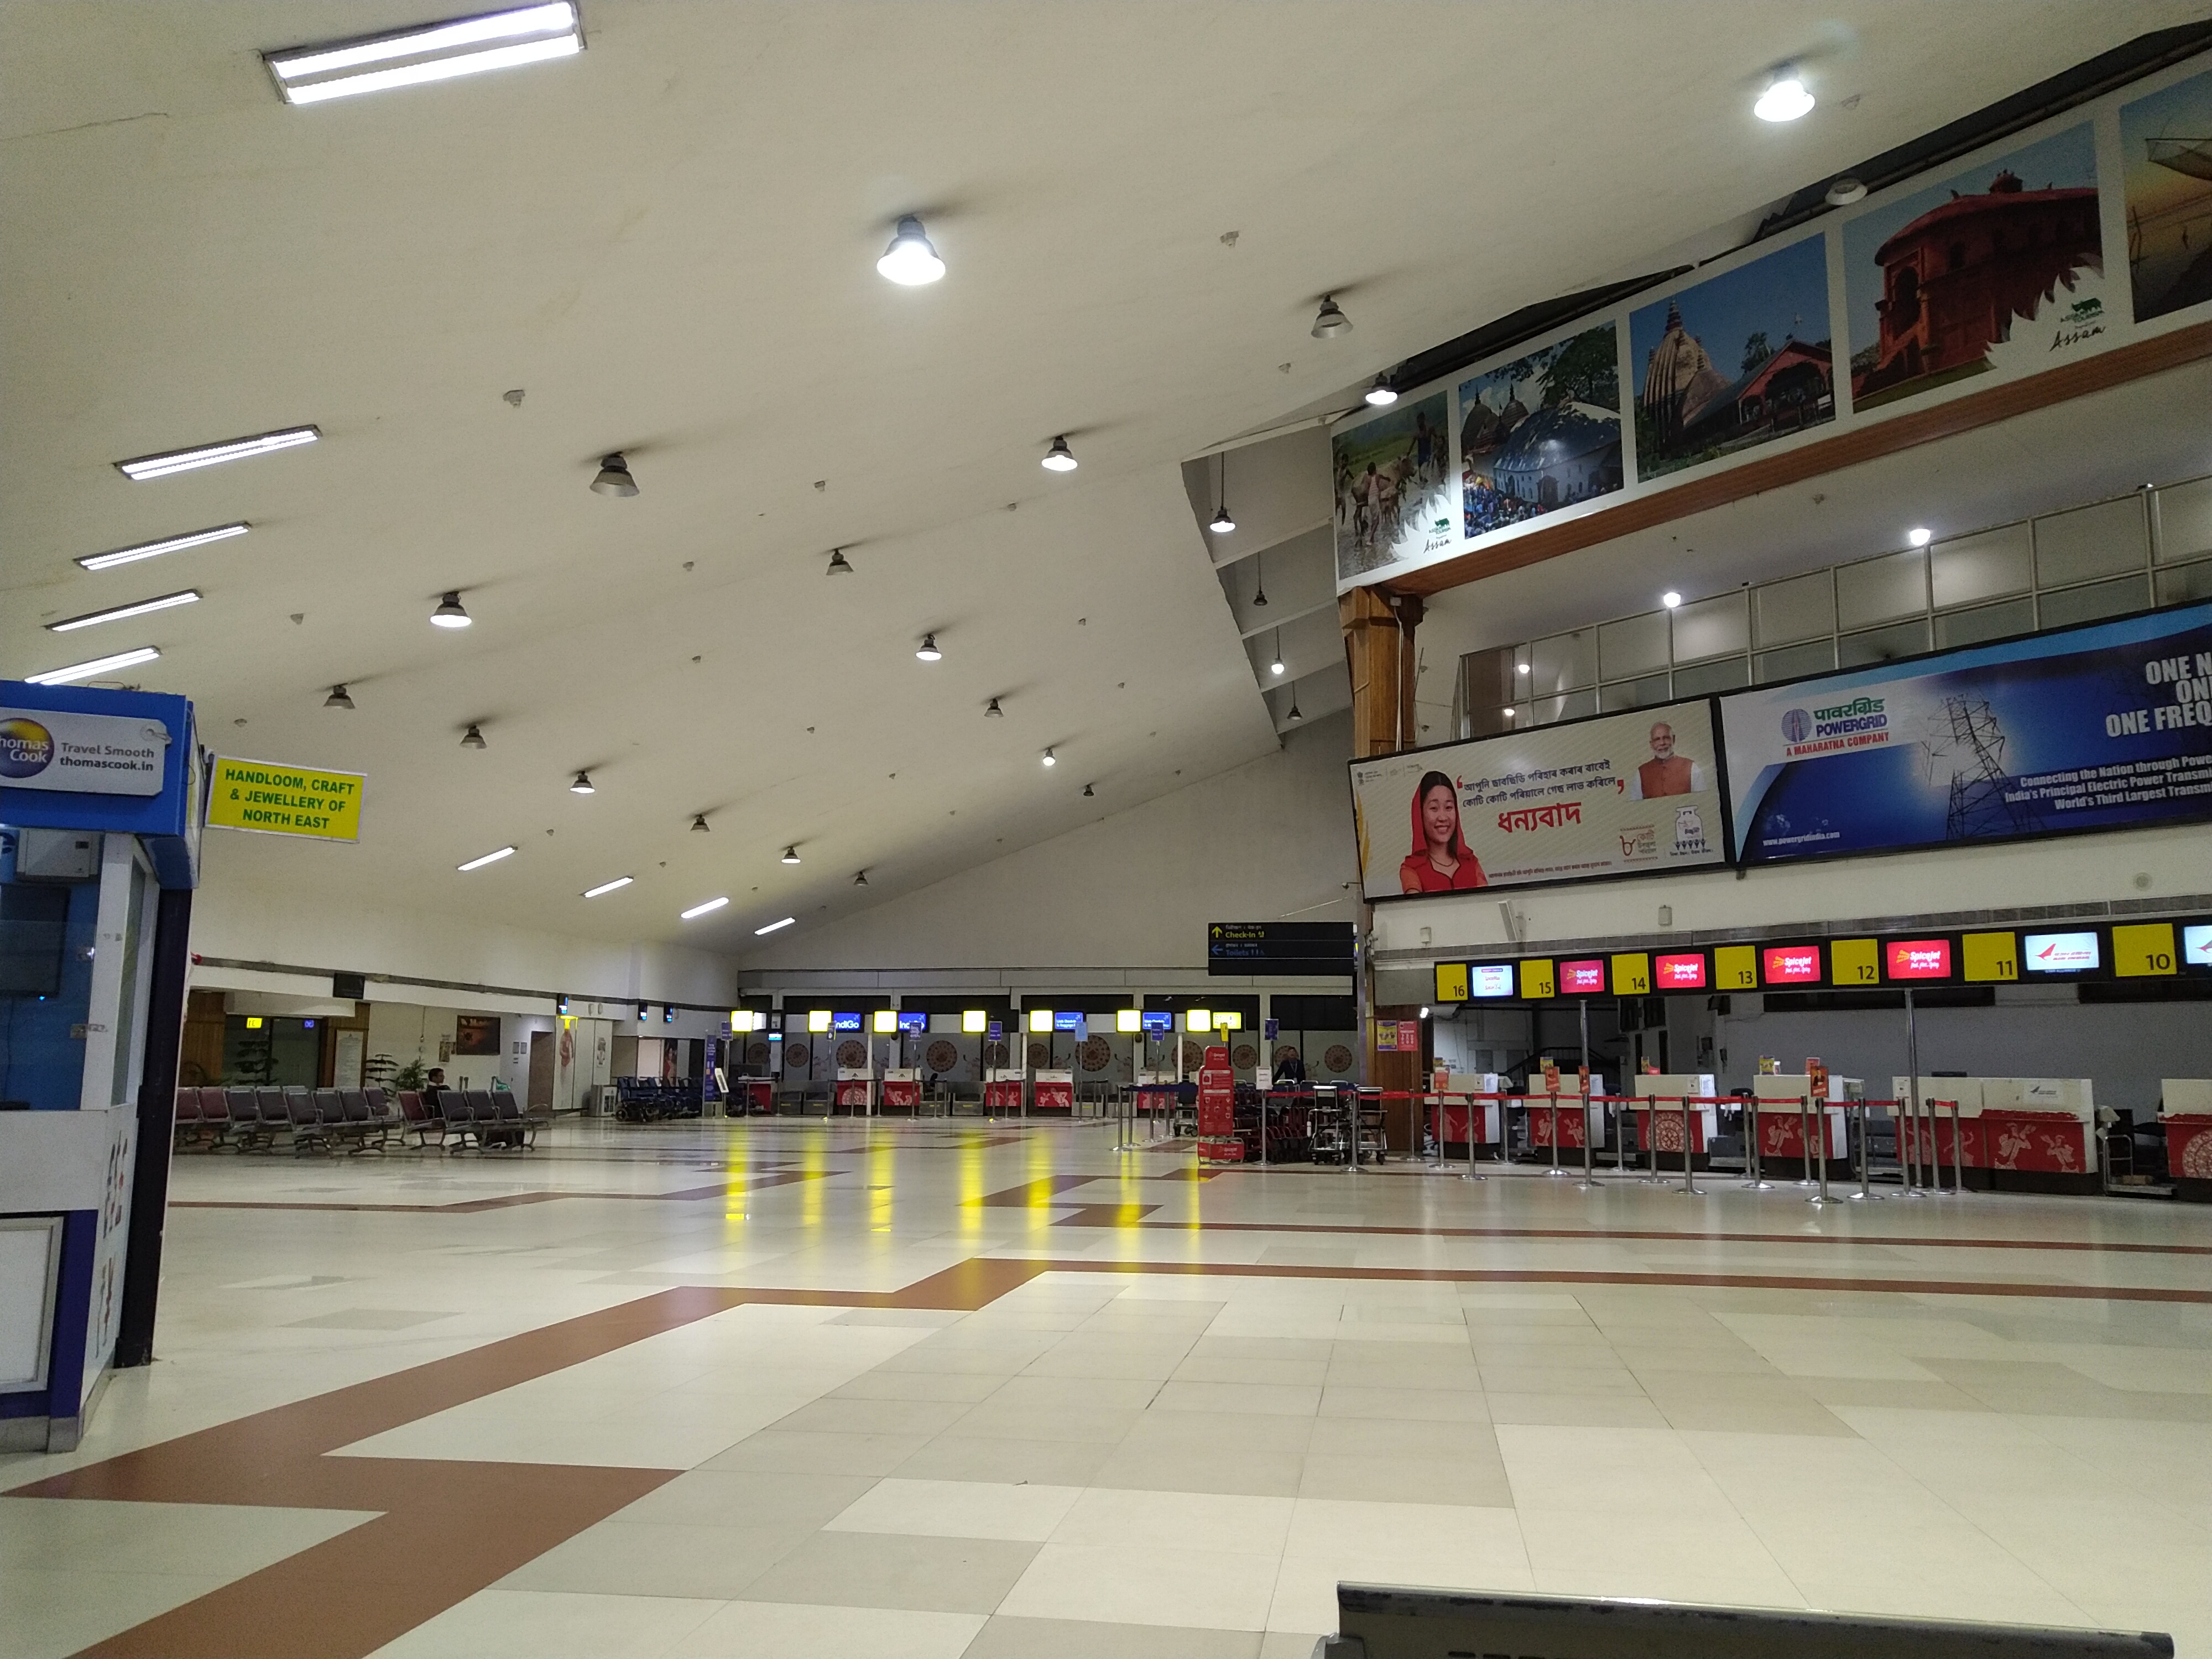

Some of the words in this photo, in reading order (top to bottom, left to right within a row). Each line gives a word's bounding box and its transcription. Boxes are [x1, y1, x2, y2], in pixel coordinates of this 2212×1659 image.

[2141, 649, 2197, 688] ONE
[1809, 693, 1890, 721] पावरग्रिड
[1814, 711, 1892, 739] POWERGRID
[2104, 707, 2156, 740] ONE
[2151, 696, 2211, 735] FREQ
[57, 739, 103, 755] Travel
[102, 742, 159, 761] Smooth
[1782, 743, 1796, 760] A
[1791, 736, 1849, 757] MAHARATNA
[1844, 728, 1892, 749] COMPANY
[56, 753, 156, 774] thomascook.in
[227, 784, 245, 804] &
[222, 765, 309, 792] HANDLOOM,
[240, 788, 327, 811] JEWELLERY
[309, 773, 356, 796] CRAFT
[324, 797, 349, 816] OF
[1460, 791, 1487, 810] কোটি
[1461, 773, 1493, 795] আপুনি
[1482, 787, 1510, 807] কোটি
[1489, 768, 1528, 791] ছাবছিডি
[1506, 785, 1548, 803] পৰিয়ালে
[1526, 762, 1561, 784] পৰিহাৰ
[1543, 781, 1568, 796] গেছ
[1557, 761, 1585, 779] কৰাৰ
[1561, 779, 1588, 795] লাভ
[1582, 755, 1613, 775] বাবেই
[1584, 770, 1619, 792] কৰিলে
[2002, 785, 2043, 805] India
[2017, 769, 2083, 790] Connecting
[2036, 780, 2092, 800] Principal
[2051, 794, 2100, 811] World
[2076, 765, 2101, 784] the
[2086, 775, 2131, 795] Electric
[2093, 788, 2127, 807] Third
[2094, 760, 2138, 781] Nation
[2121, 785, 2171, 805] Largest
[2126, 770, 2168, 790] Power
[2133, 753, 2183, 776] through
[240, 808, 294, 827] NORTH
[290, 812, 331, 833] EAST
[1494, 798, 1583, 836] ধন্যবাদ
[1220, 927, 1259, 942] Check-In